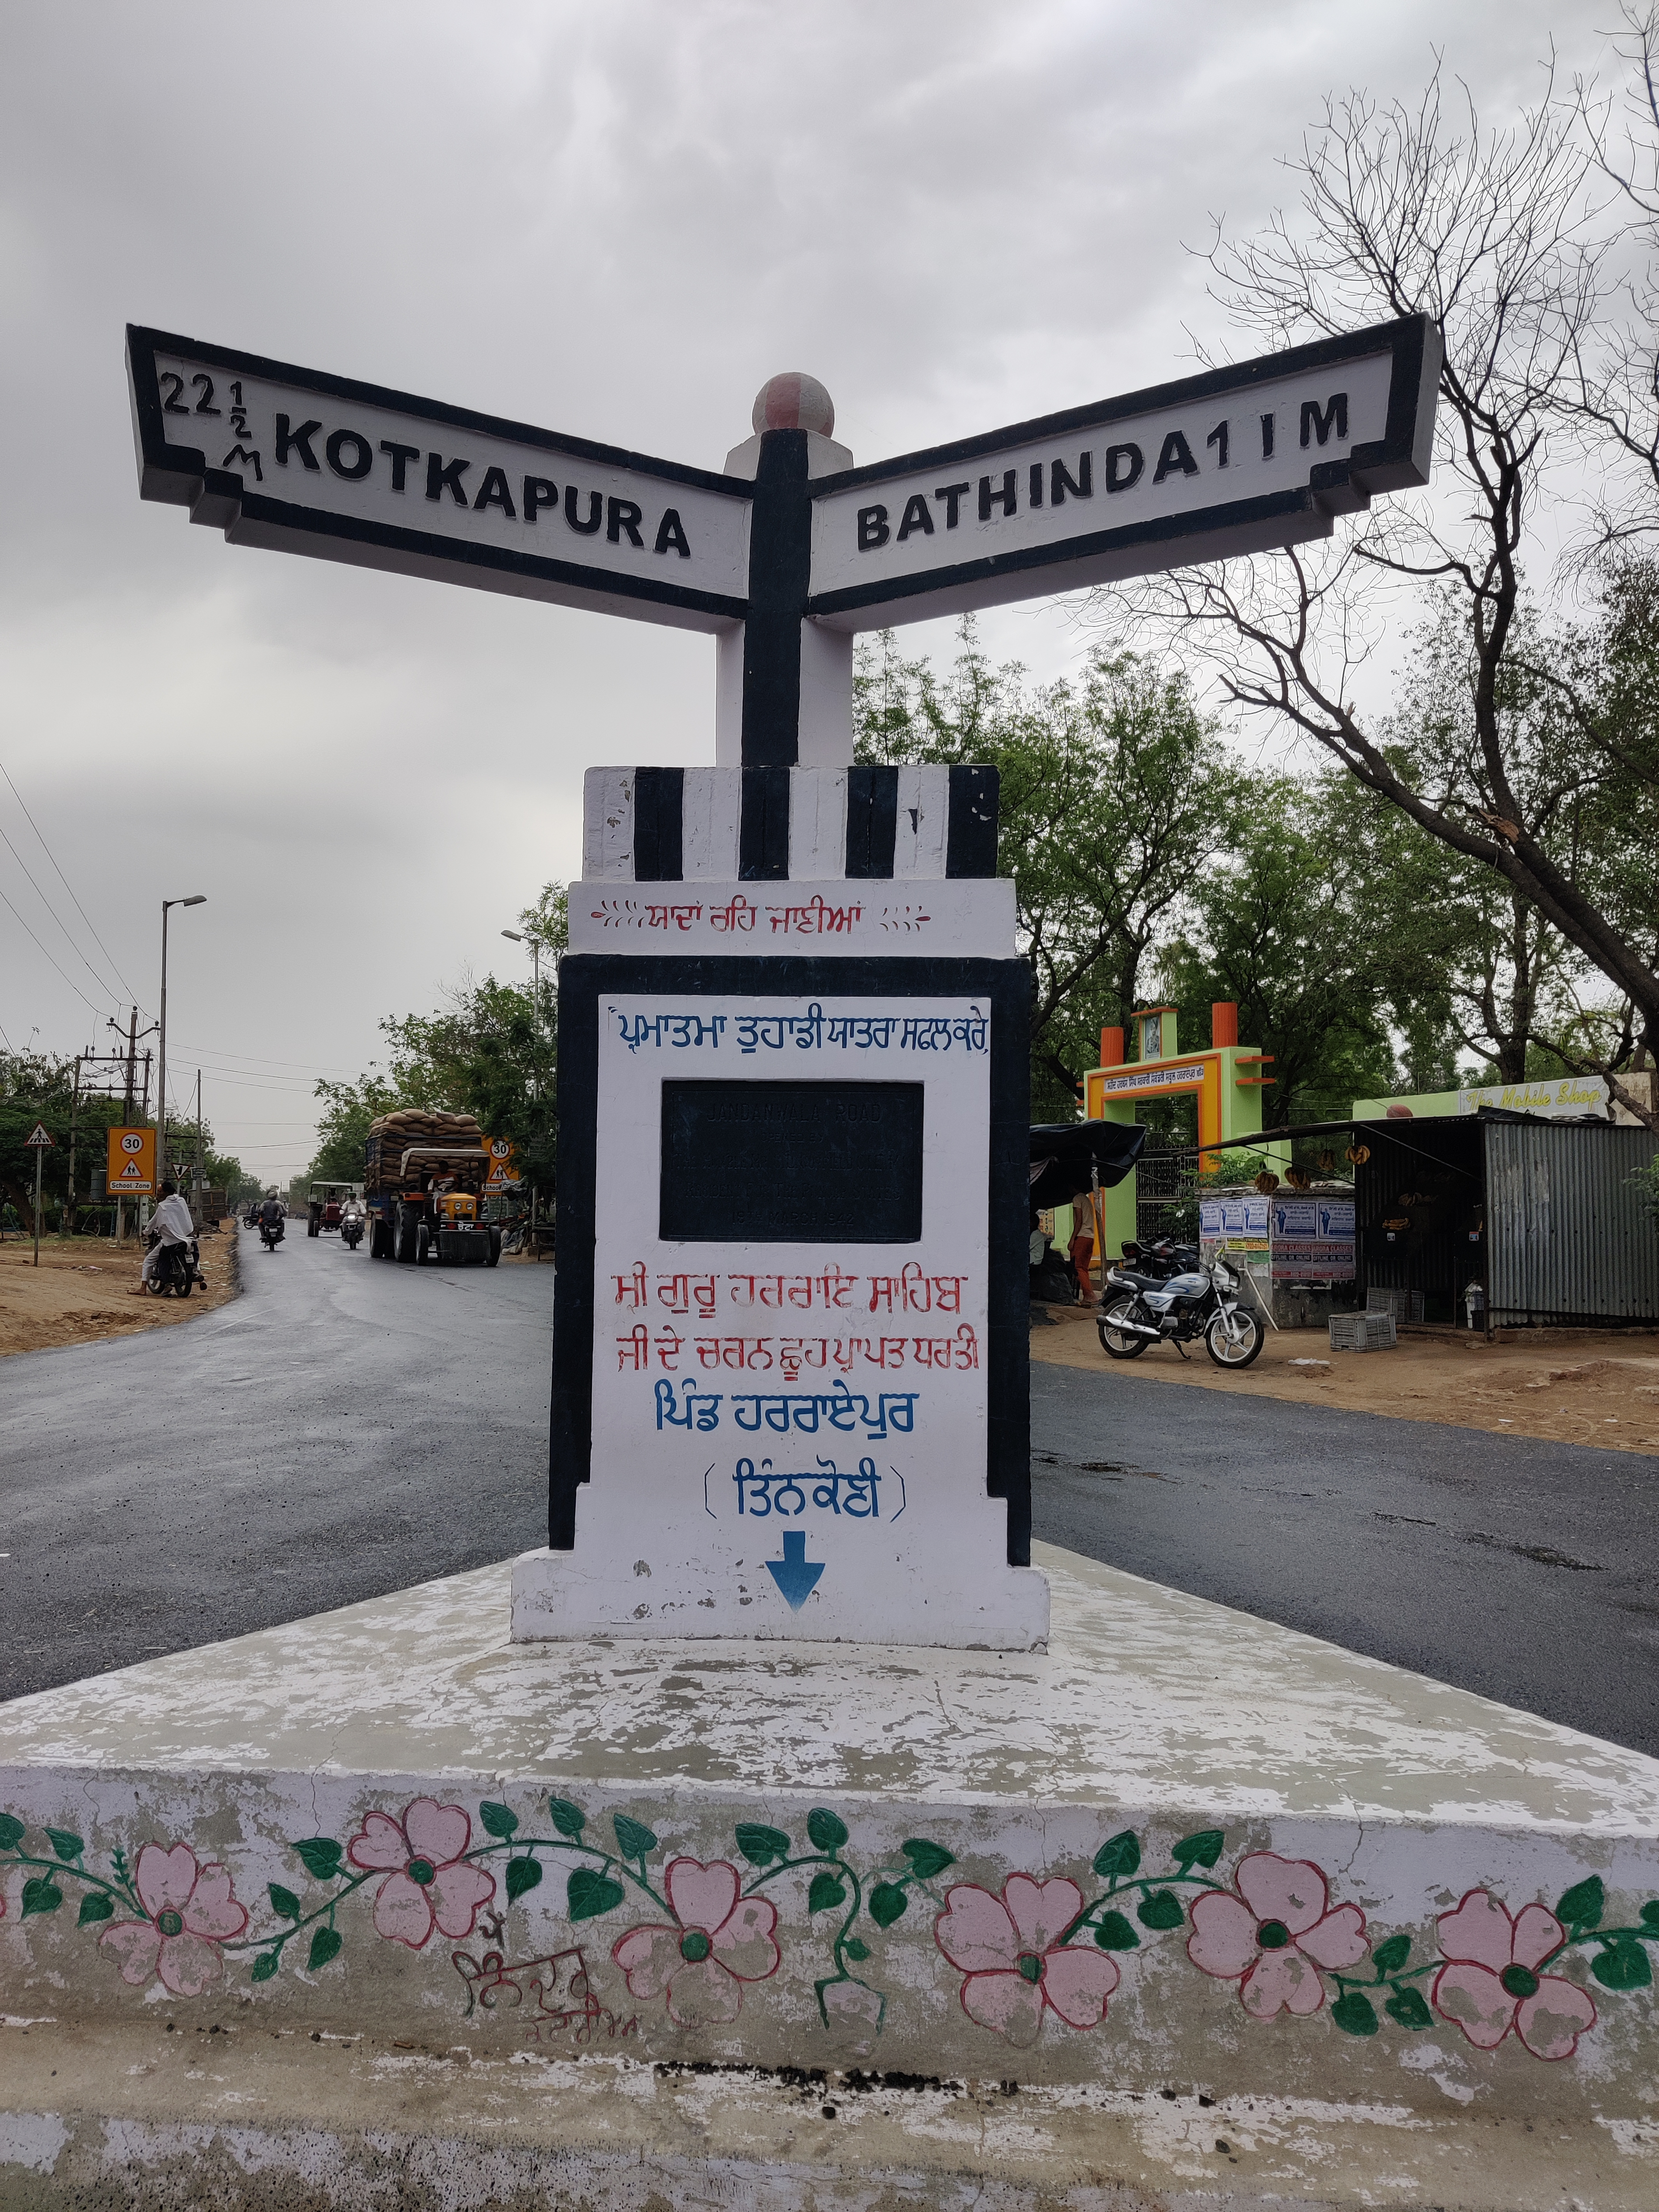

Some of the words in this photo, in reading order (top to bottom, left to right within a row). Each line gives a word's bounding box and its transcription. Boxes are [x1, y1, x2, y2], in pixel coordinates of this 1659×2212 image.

[156, 362, 259, 444] 22 1/2
[216, 440, 268, 483] M
[267, 407, 702, 565] KOTKAPURA
[849, 419, 1209, 560] BATHINDA
[1201, 408, 1240, 478] 1
[1253, 384, 1359, 467] IM
[642, 894, 706, 935] ਯਾਦਾਂ
[703, 890, 762, 942] ਰਹਿ
[760, 893, 873, 942] ਜਾਣੀਆਂ
[610, 1010, 732, 1061] ਪ੍ਰਮਾਤਮਾ
[731, 996, 828, 1066] ਤੁਹਾਡੀ
[823, 1006, 901, 1058] ਯਾਤਰਾ
[896, 1009, 954, 1058] ਸਫਲ
[952, 1003, 992, 1057] ਕਰੇ
[1106, 1078, 1117, 1091] ਸ਼ਹੀਦ
[1116, 1076, 1128, 1091] ਹਰਬੱਸ
[1128, 1076, 1137, 1089] ਸਿਘ
[1137, 1073, 1151, 1087] ਸਰਕਾਰੀ
[1150, 1070, 1165, 1086] ਸੈਕੰਡਰੀ
[1165, 1070, 1177, 1085] ਸਕੂਲ
[1176, 1066, 1196, 1082] ਹਰਰਾਏਪੁਰ
[703, 1100, 826, 1125] JANDANWALA
[830, 1101, 885, 1127] ROAD
[121, 1134, 143, 1153] 30
[491, 1141, 509, 1158] 30
[110, 1181, 134, 1190] School
[134, 1181, 151, 1191] Zone
[482, 1183, 502, 1191] School
[456, 1220, 477, 1231] ਝੋਟਾ
[820, 1210, 858, 1229] 1942
[1270, 1243, 1289, 1252] ARORA
[1288, 1245, 1312, 1252] CLASSES
[1311, 1244, 1331, 1252] ARORA
[1330, 1245, 1353, 1253] CLASSES
[605, 1252, 654, 1318] ਸੀ
[651, 1265, 725, 1327] ਗੁਰੂ
[723, 1258, 862, 1316] ਹਰਰਾਇ
[859, 1260, 969, 1322] ਸਹਿਬ
[606, 1319, 653, 1380] ਜੀ
[651, 1320, 692, 1375] ਦੇ
[691, 1325, 777, 1378] ਚਰਨ
[775, 1325, 831, 1387] ਛੂਹ
[828, 1328, 911, 1380] ਪ੍ਰਾਪਤ
[909, 1318, 987, 1380] ਧਰਤੀ
[647, 1371, 726, 1443] ਪਿੰਡ
[726, 1376, 928, 1446] ਹਰਰਾਏਪੁਰ
[728, 1454, 888, 1523] ਤਿੰਨਕੋਈ